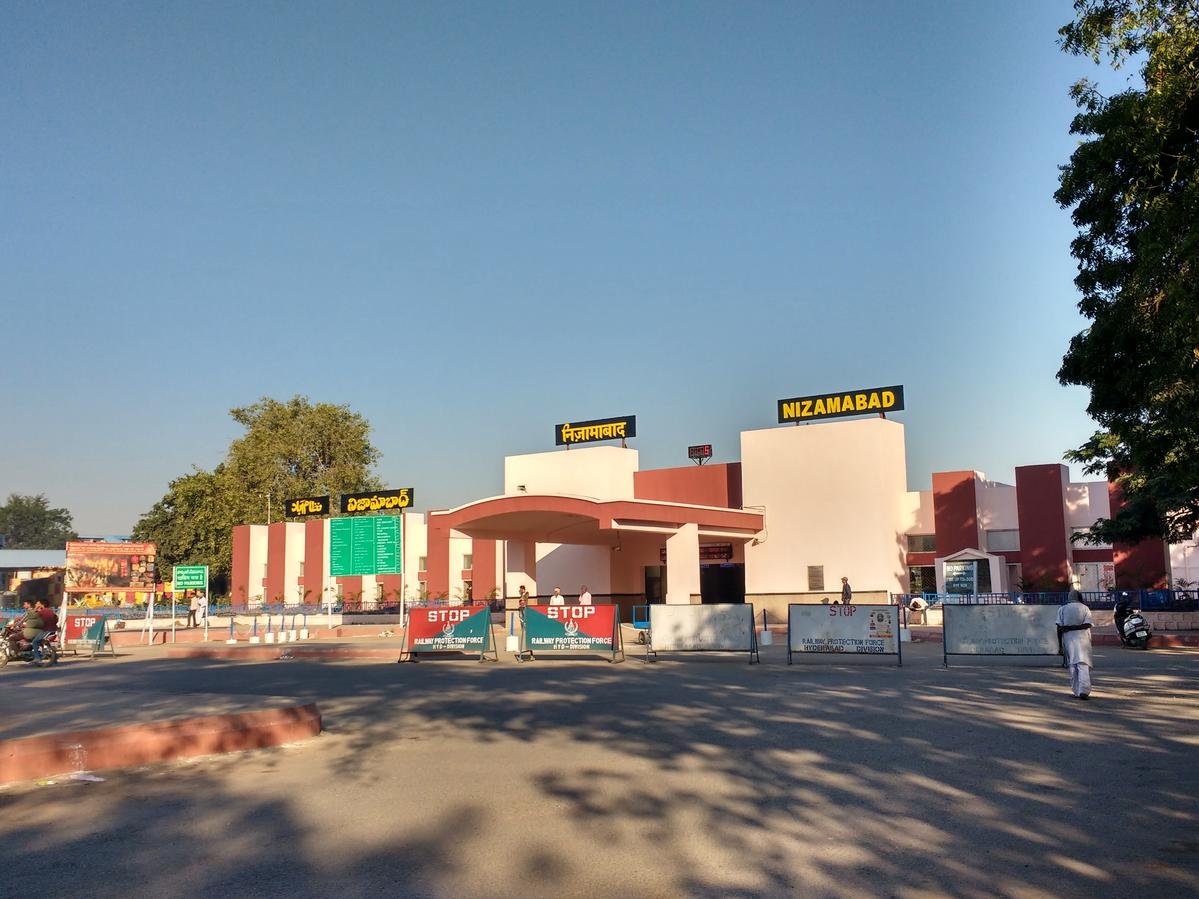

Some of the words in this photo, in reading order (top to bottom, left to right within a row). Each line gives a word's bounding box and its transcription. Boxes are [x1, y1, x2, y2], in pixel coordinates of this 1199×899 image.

[777, 383, 901, 424] NIZAMABAD
[553, 413, 630, 447] निज़ामाबाद
[341, 486, 413, 517] నిజామాబాద్
[69, 613, 101, 632] STOP
[423, 605, 474, 626] STOP
[545, 601, 599, 625] STOP
[823, 599, 863, 623] STOP
[409, 632, 437, 648] RAILWAY
[430, 631, 489, 651] PROTECTIONFORCE
[523, 632, 557, 649] RAILWAY
[553, 629, 616, 651] PROTECTIONFORCE
[824, 631, 867, 649] PROTECTION
[860, 634, 889, 649] FORCE